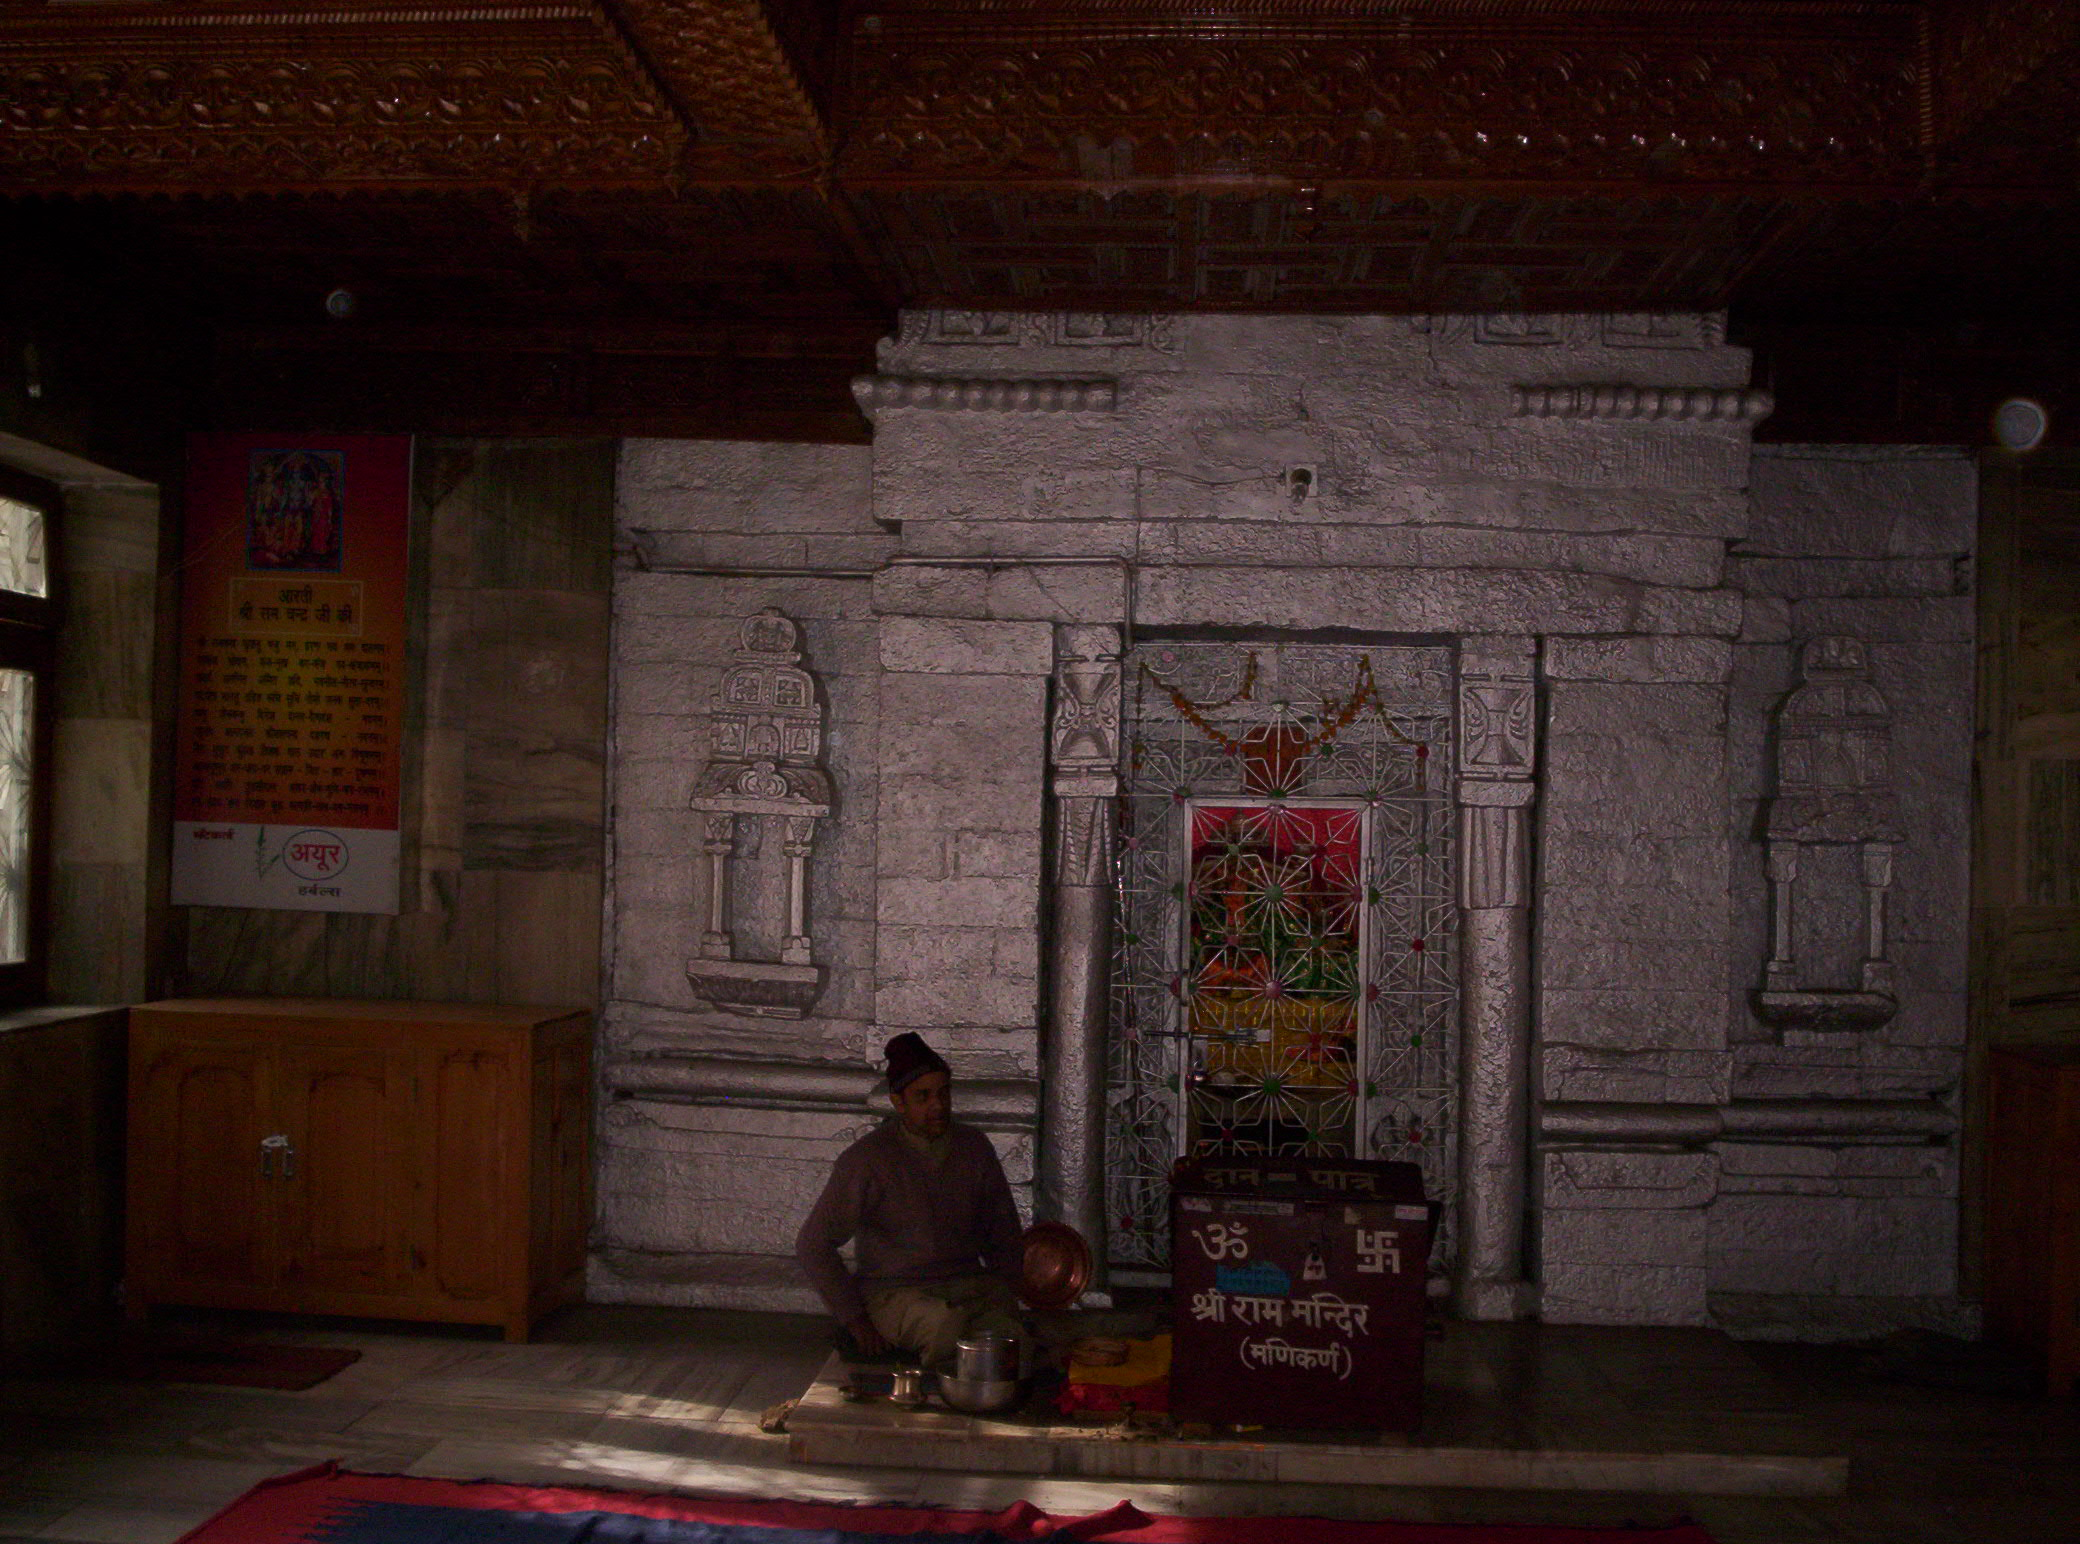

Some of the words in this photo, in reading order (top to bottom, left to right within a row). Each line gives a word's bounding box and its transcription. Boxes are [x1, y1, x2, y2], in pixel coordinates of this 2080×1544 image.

[274, 581, 313, 605] आरती
[232, 595, 255, 622] श्री
[258, 605, 281, 623] राम
[283, 603, 311, 626] चन्द्र
[312, 600, 333, 623] जी
[337, 598, 357, 625] की
[289, 840, 345, 873] अयूर
[297, 879, 341, 899] हर्बल्स
[1198, 1164, 1262, 1193] दान
[1304, 1166, 1393, 1205] पात्र
[1189, 1280, 1227, 1325] श्री
[1227, 1294, 1287, 1328] राम
[1291, 1287, 1373, 1341] मन्दिर
[1247, 1333, 1342, 1376] मणिकर्ण